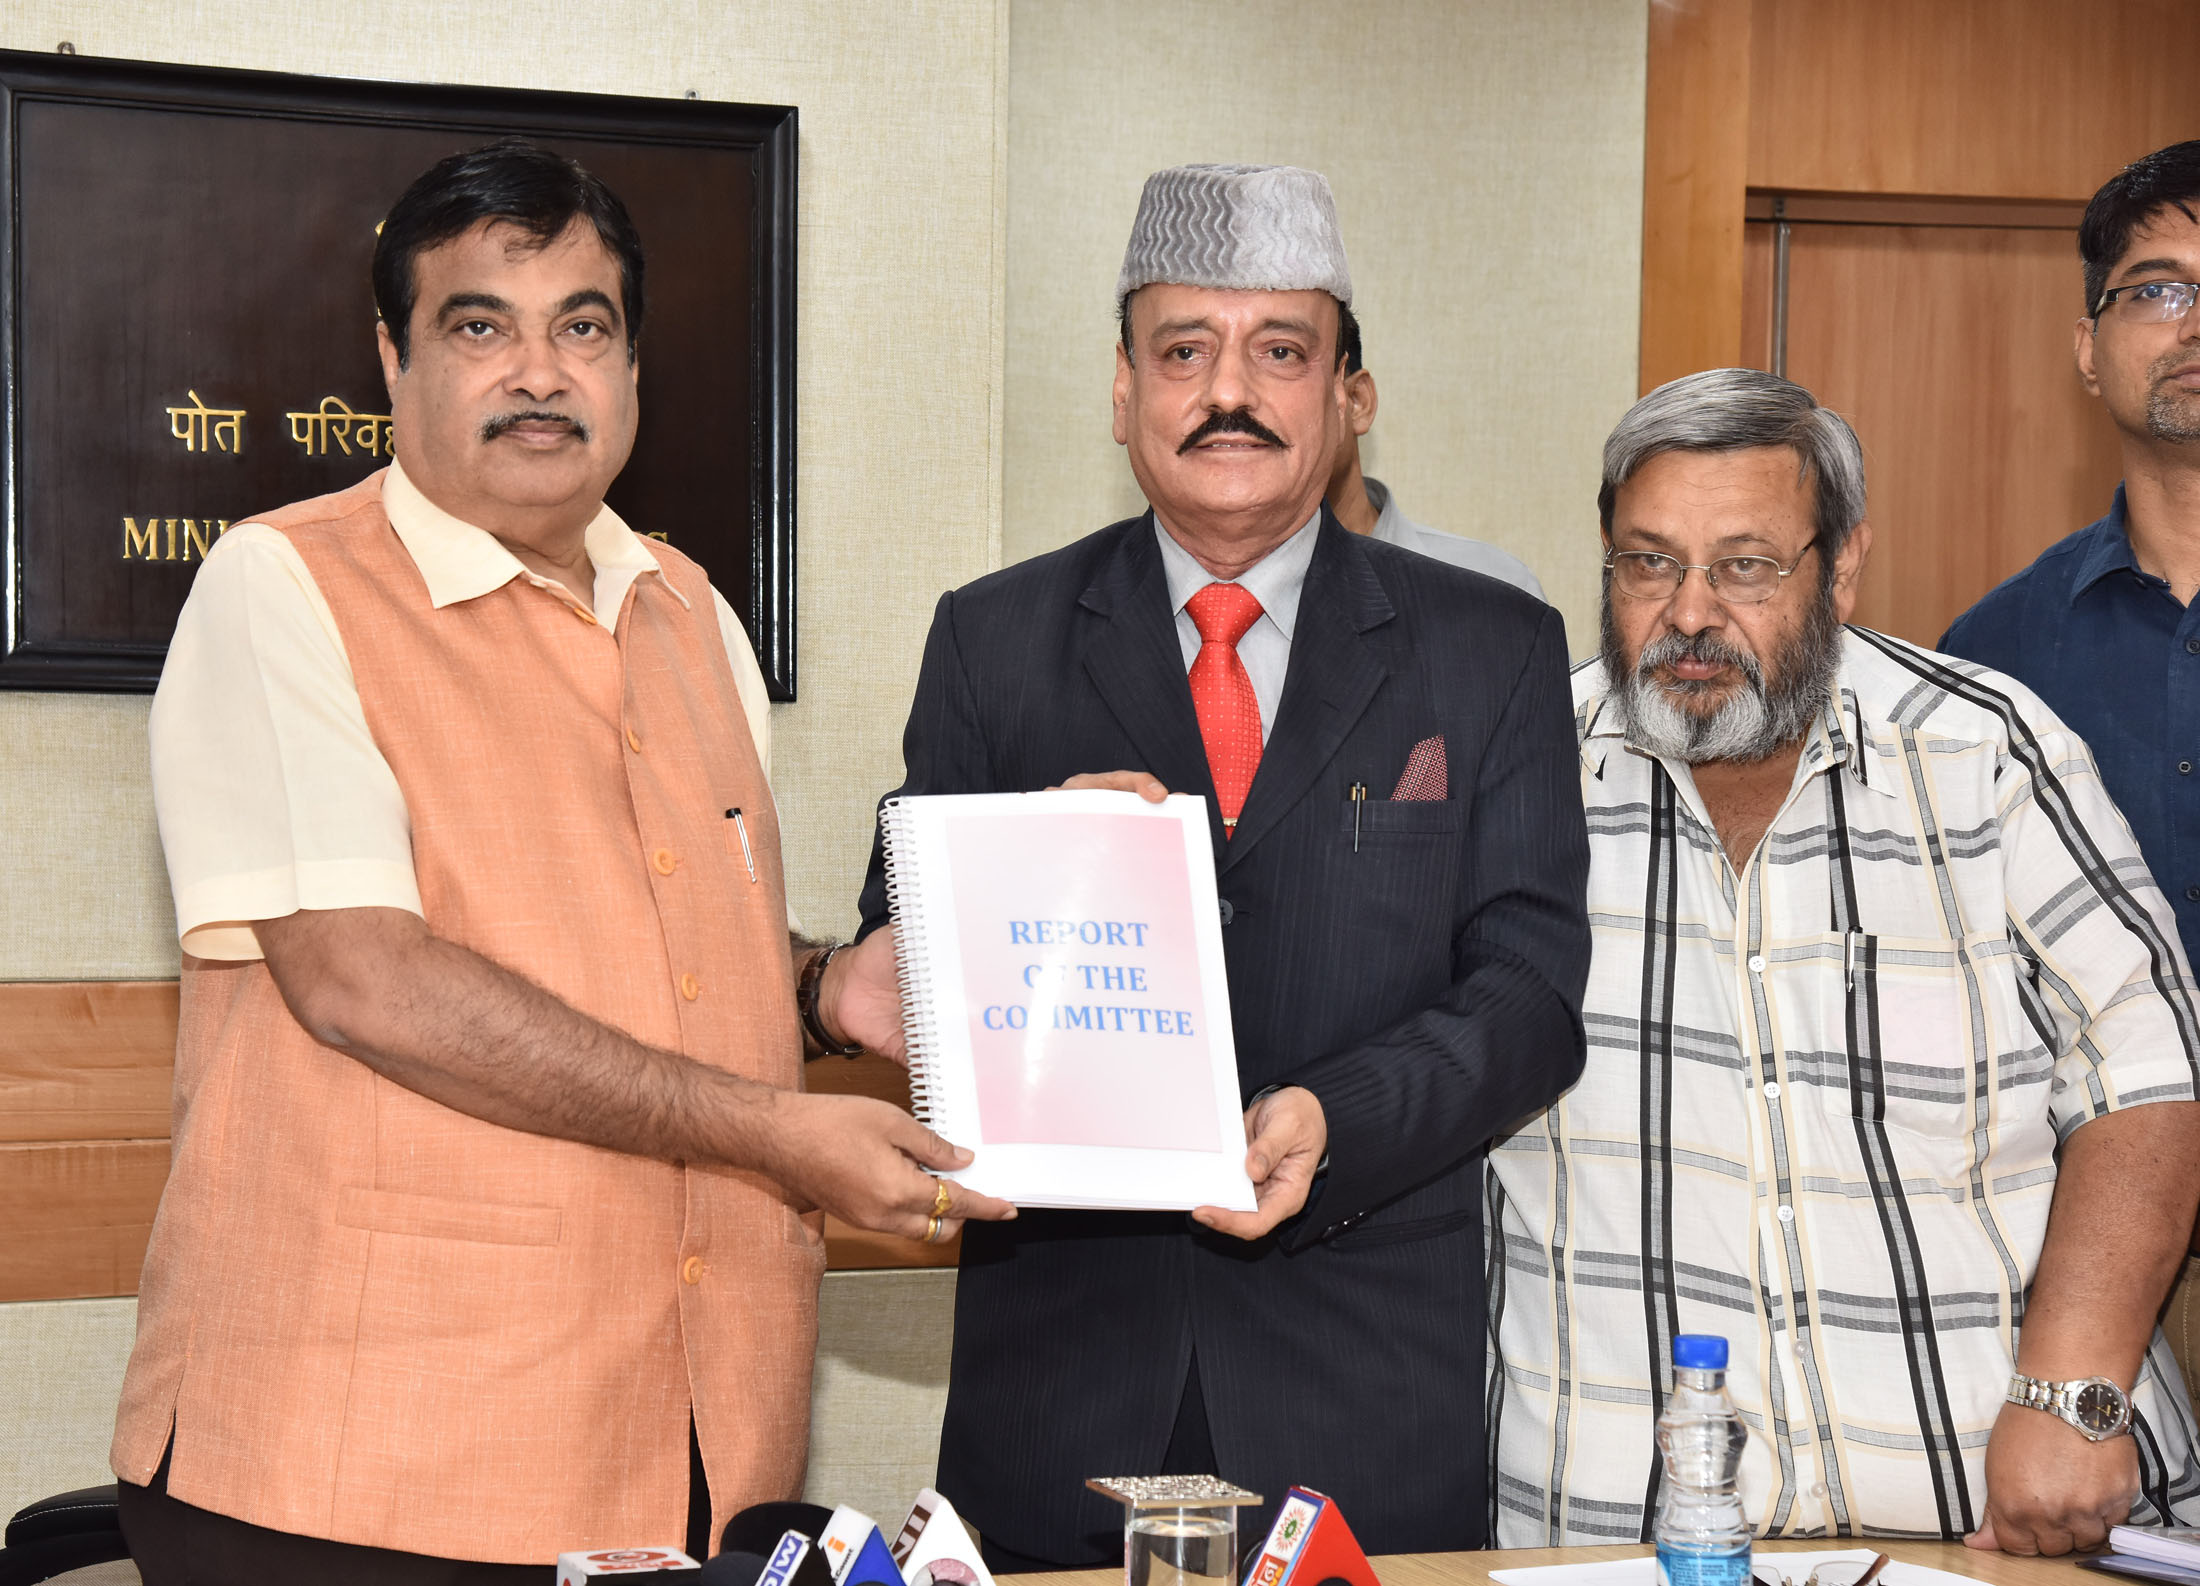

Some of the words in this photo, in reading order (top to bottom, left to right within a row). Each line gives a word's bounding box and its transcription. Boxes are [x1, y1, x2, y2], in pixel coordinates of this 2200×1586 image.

[161, 386, 249, 465] पोत
[275, 392, 395, 463] परिवह
[112, 509, 226, 569] MIN
[1006, 914, 1152, 954] REPORT
[1073, 956, 1152, 999] THE
[976, 998, 1196, 1044] CO IMITTEE